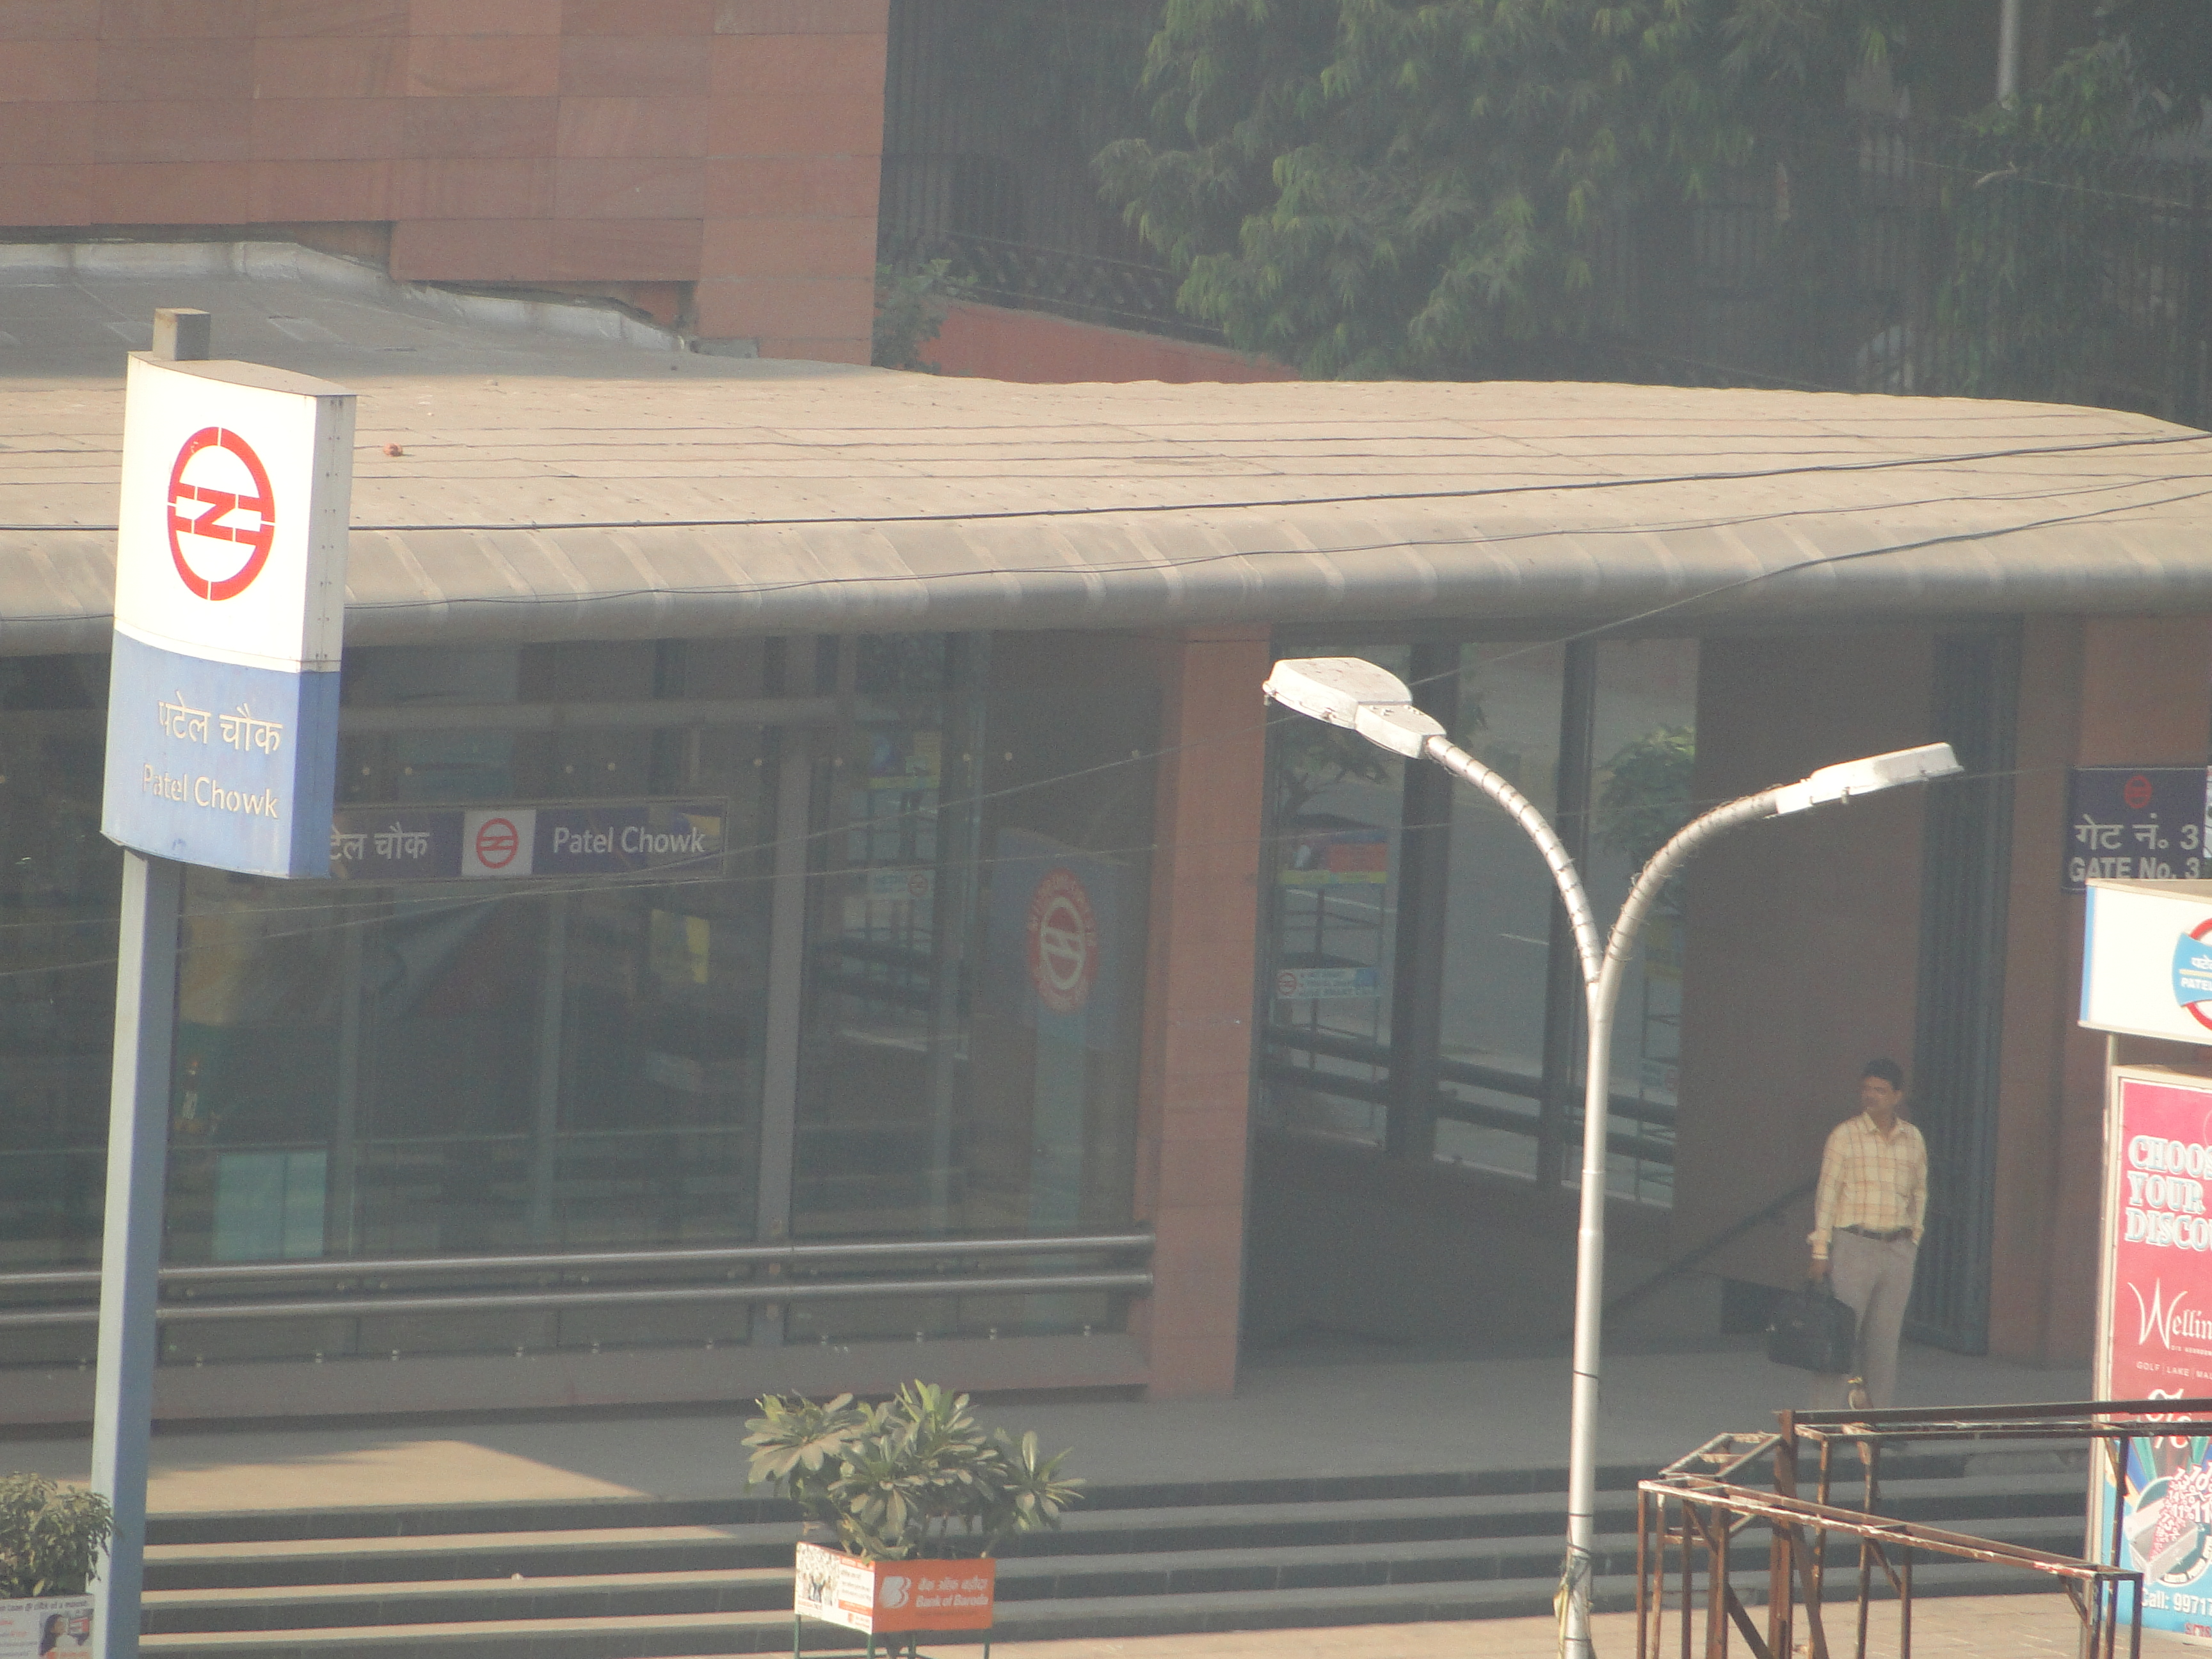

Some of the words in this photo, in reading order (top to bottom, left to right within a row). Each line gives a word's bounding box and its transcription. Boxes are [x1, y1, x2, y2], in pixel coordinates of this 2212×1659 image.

[155, 687, 216, 749] पटेल
[214, 701, 288, 758] चौक
[139, 762, 191, 807] Patel
[187, 773, 284, 823] Chowk
[369, 817, 435, 862] चौक
[549, 824, 617, 856] Patel
[618, 821, 712, 857] Chowk
[2066, 808, 2128, 850] गेट
[2125, 805, 2174, 853] नं॰
[2063, 850, 2136, 892] GATE
[2135, 853, 2183, 883] No.
[2124, 1130, 2211, 1182] CHOO
[2124, 1167, 2208, 1217] YOUR
[2124, 1205, 2211, 1257] DISCO